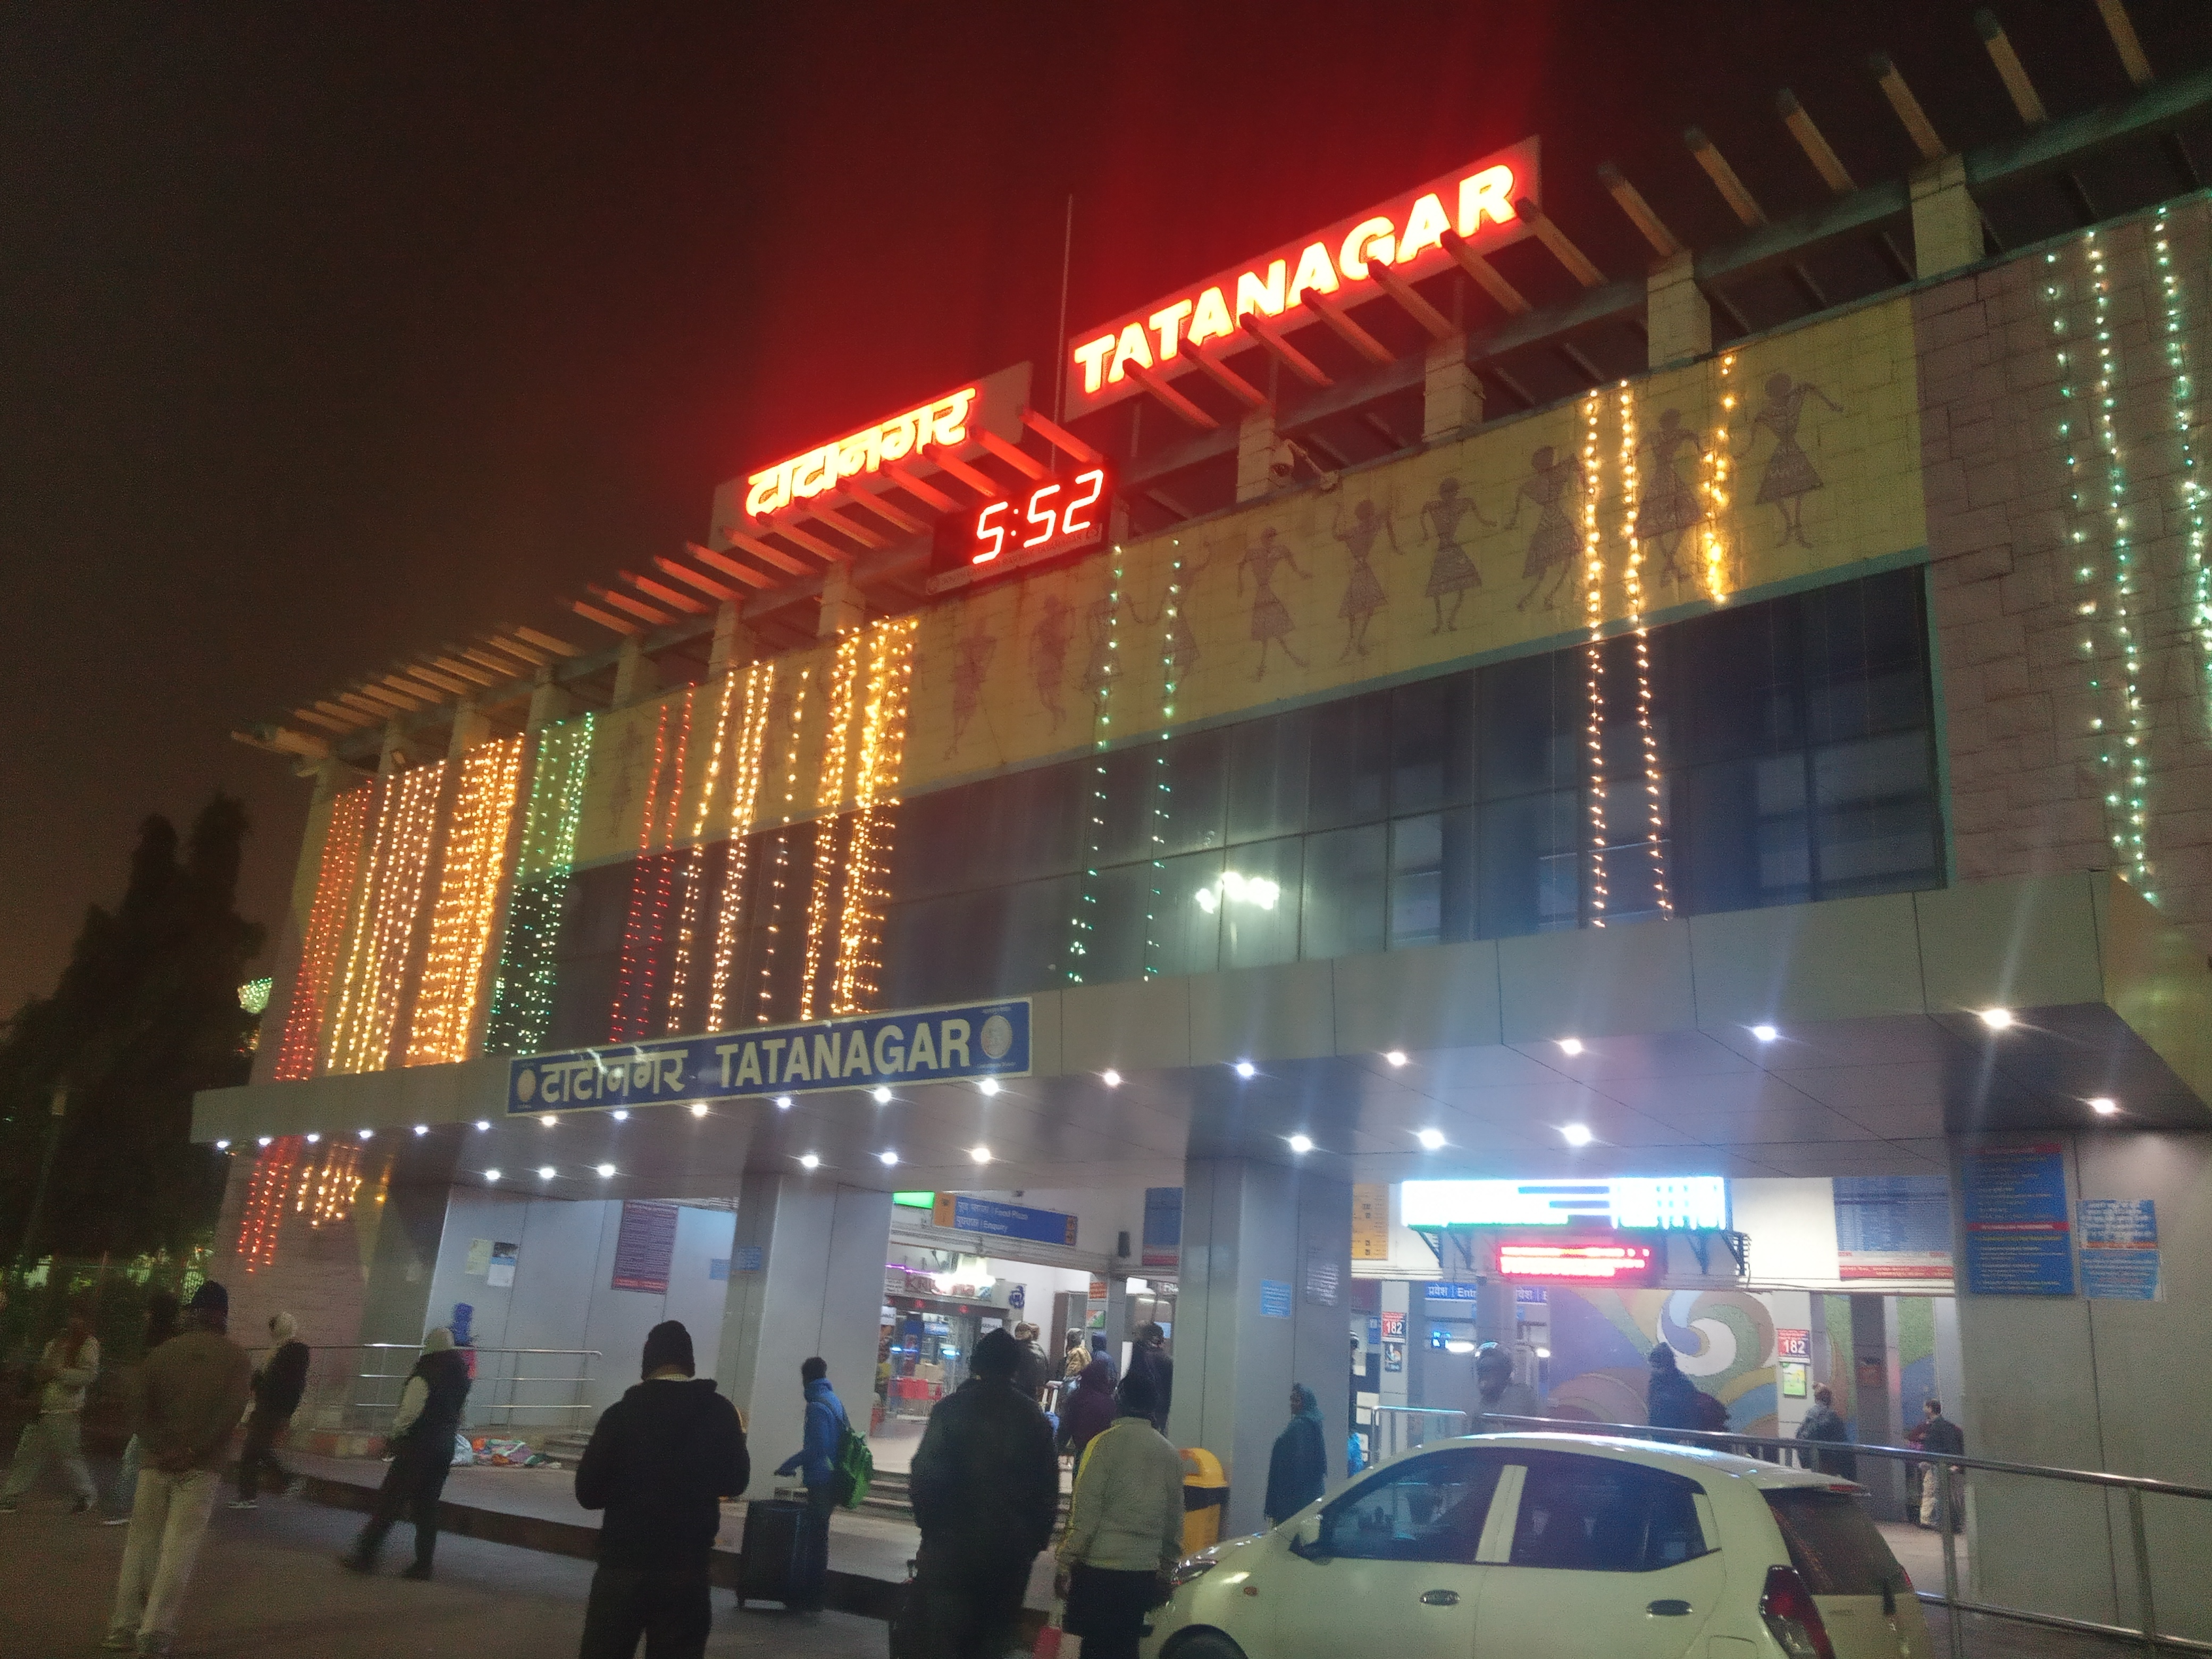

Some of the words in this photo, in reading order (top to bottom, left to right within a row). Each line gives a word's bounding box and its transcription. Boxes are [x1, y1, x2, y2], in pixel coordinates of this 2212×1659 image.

[1071, 161, 1520, 399] TATANAGAR
[740, 384, 978, 522] टाटानगर
[969, 466, 1106, 568] 5:52
[538, 1046, 690, 1106] टाटानगर
[716, 1016, 977, 1091] TATANAGAR
[1426, 1281, 1449, 1298] प्रवेश